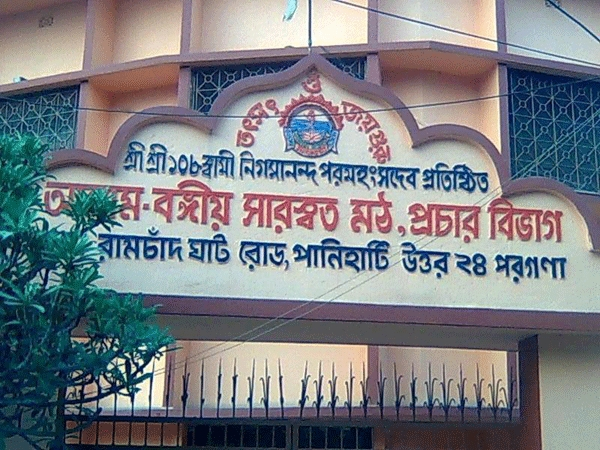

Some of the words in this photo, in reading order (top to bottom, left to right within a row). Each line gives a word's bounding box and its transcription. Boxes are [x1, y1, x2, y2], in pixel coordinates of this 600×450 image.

[334, 95, 401, 170] জয়গুরু
[113, 133, 241, 180] শ্রীশ্রী ১০৮ স্বামী
[231, 143, 323, 185] নিগম্বানন্দ
[316, 155, 426, 195] পরমহংসদেব
[416, 155, 494, 197] প্ৰতিষ্ঠিত
[149, 171, 238, 235] বঙ্গীয়
[239, 187, 348, 239] সারস্বত
[345, 179, 401, 239] মঠ
[405, 200, 483, 243] প্রচার
[481, 183, 566, 246] বিভাগ
[95, 222, 188, 265] রামচাঁদ
[186, 231, 232, 267] ঘাট
[239, 240, 288, 273] রোড
[289, 232, 397, 277] পানিহাটি
[399, 241, 489, 280] উত্তর ২৪
[493, 249, 575, 289] পরগণা